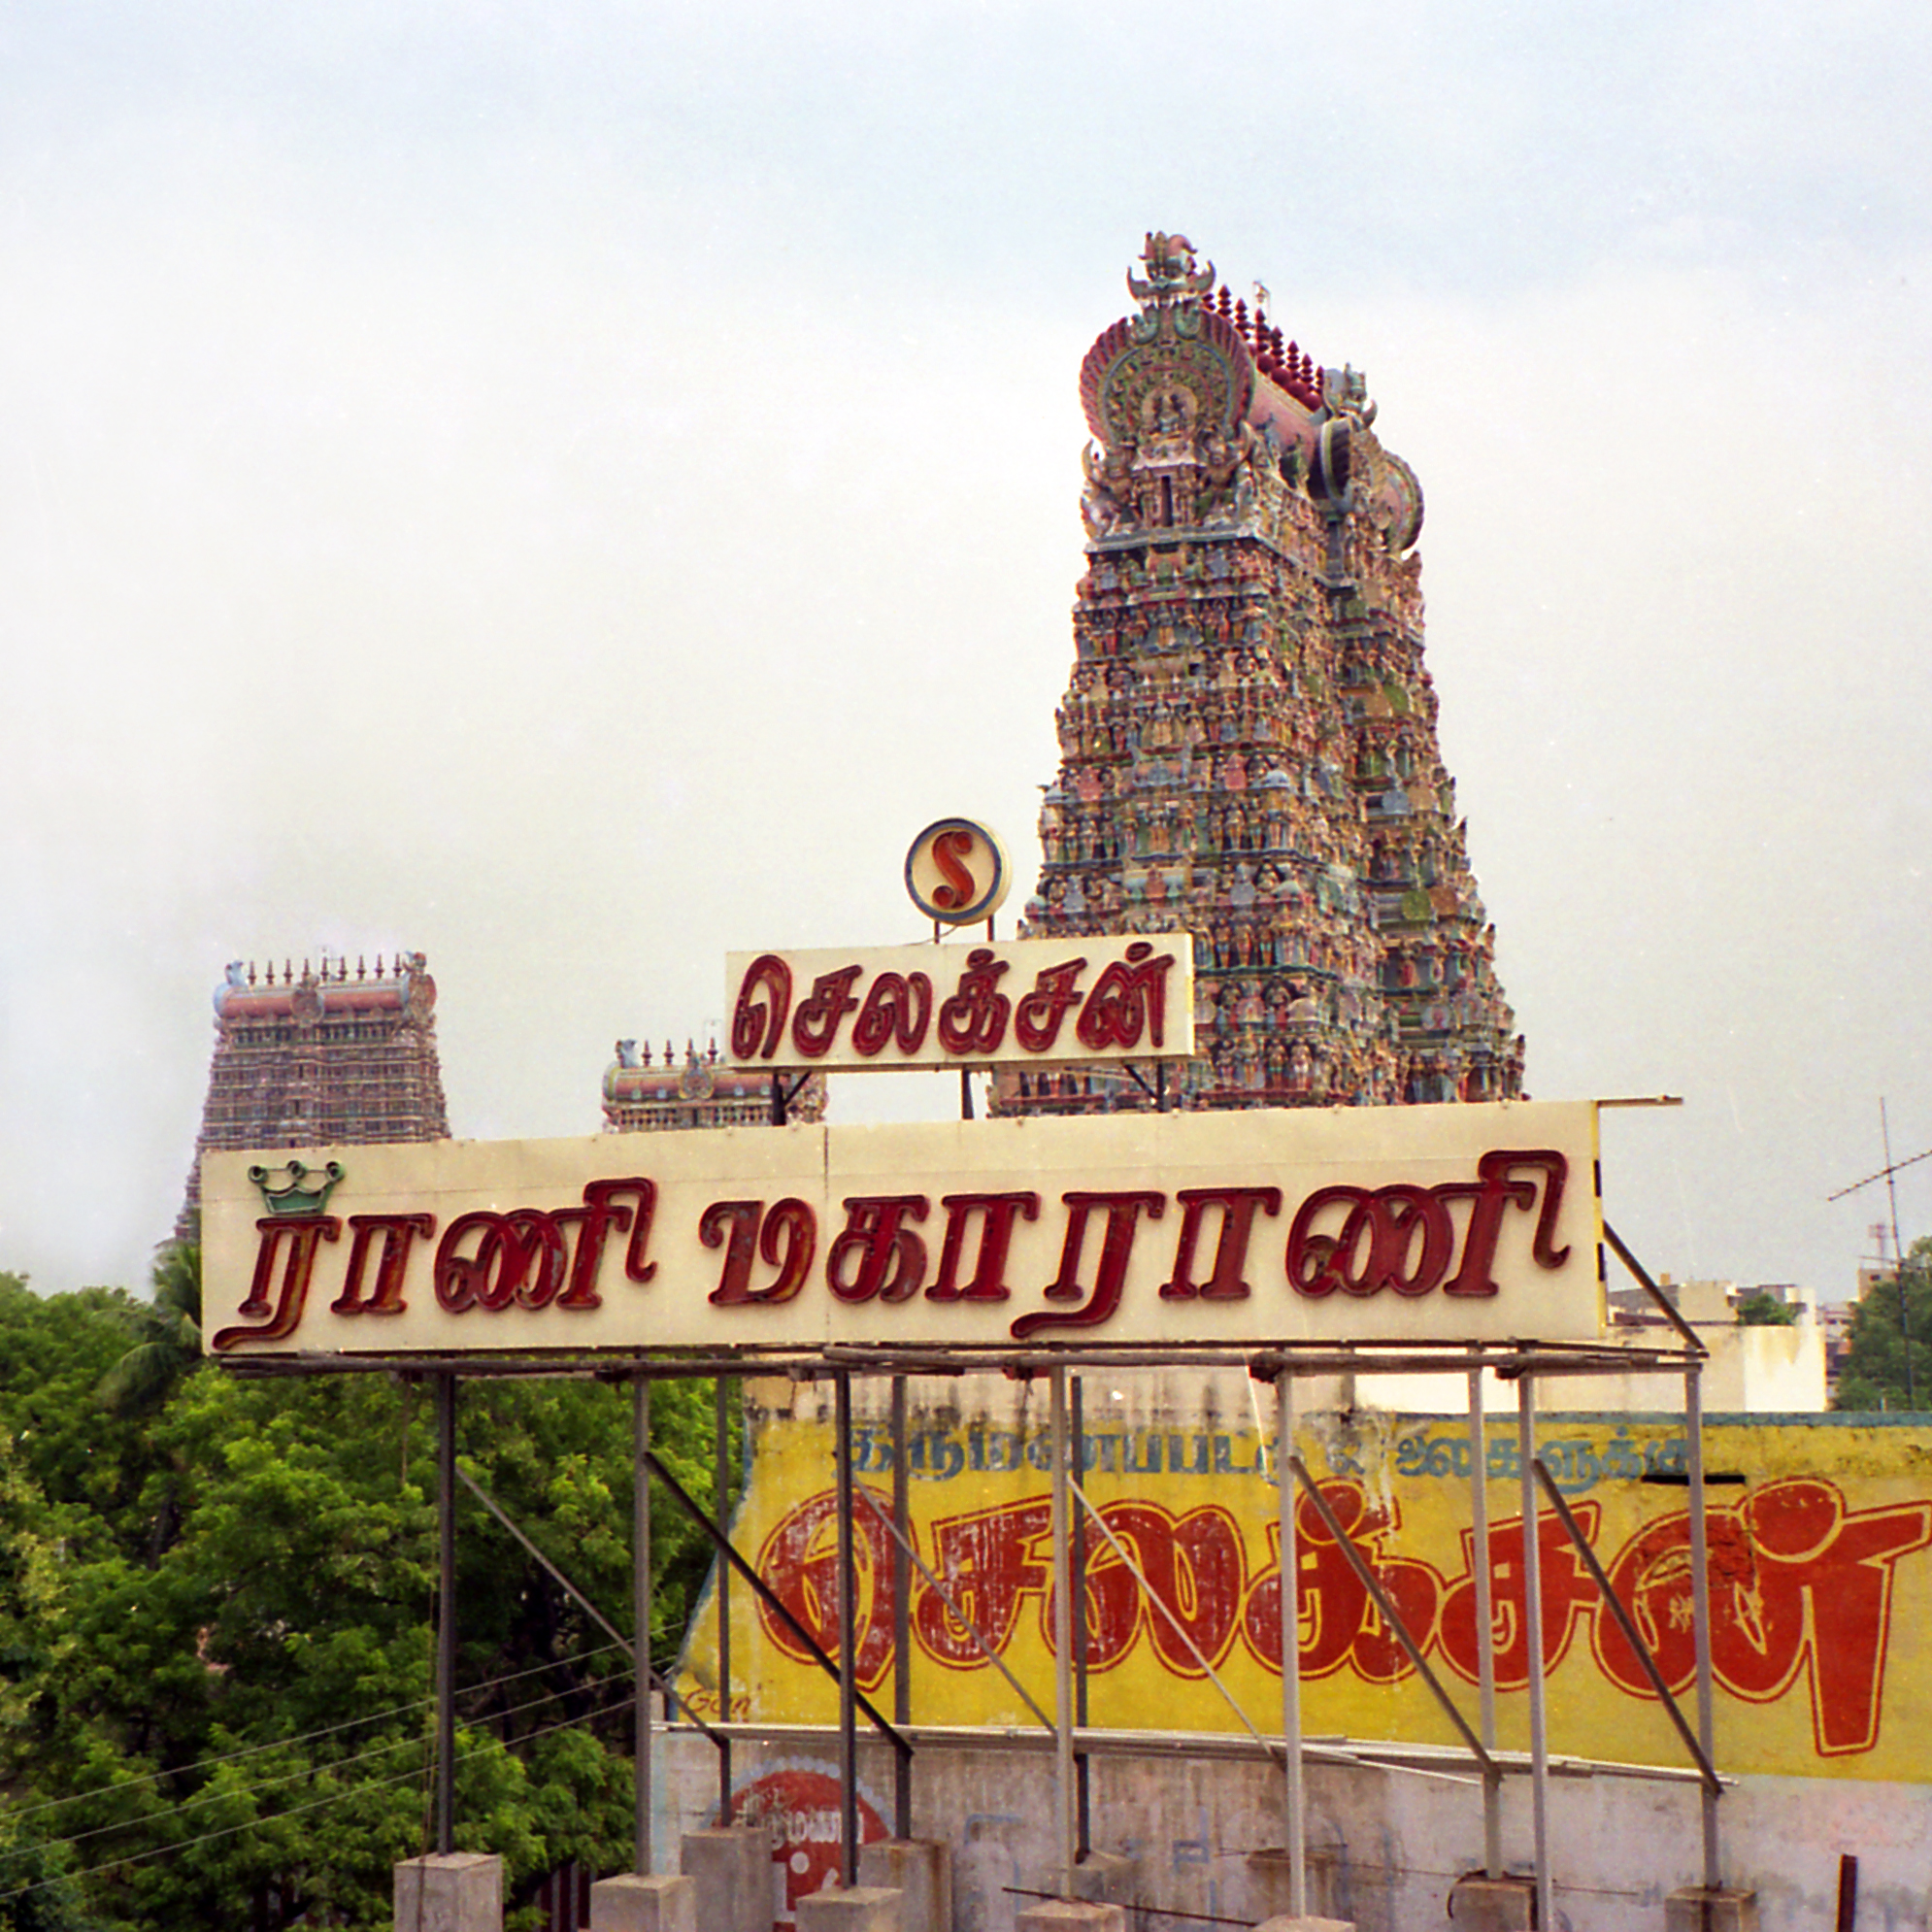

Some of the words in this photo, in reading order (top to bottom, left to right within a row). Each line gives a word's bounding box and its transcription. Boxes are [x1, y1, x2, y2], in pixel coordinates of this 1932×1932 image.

[722, 935, 1179, 1071] செலக்சன்
[195, 1166, 663, 1356] ராணி
[692, 1140, 1580, 1351] மகாராணி